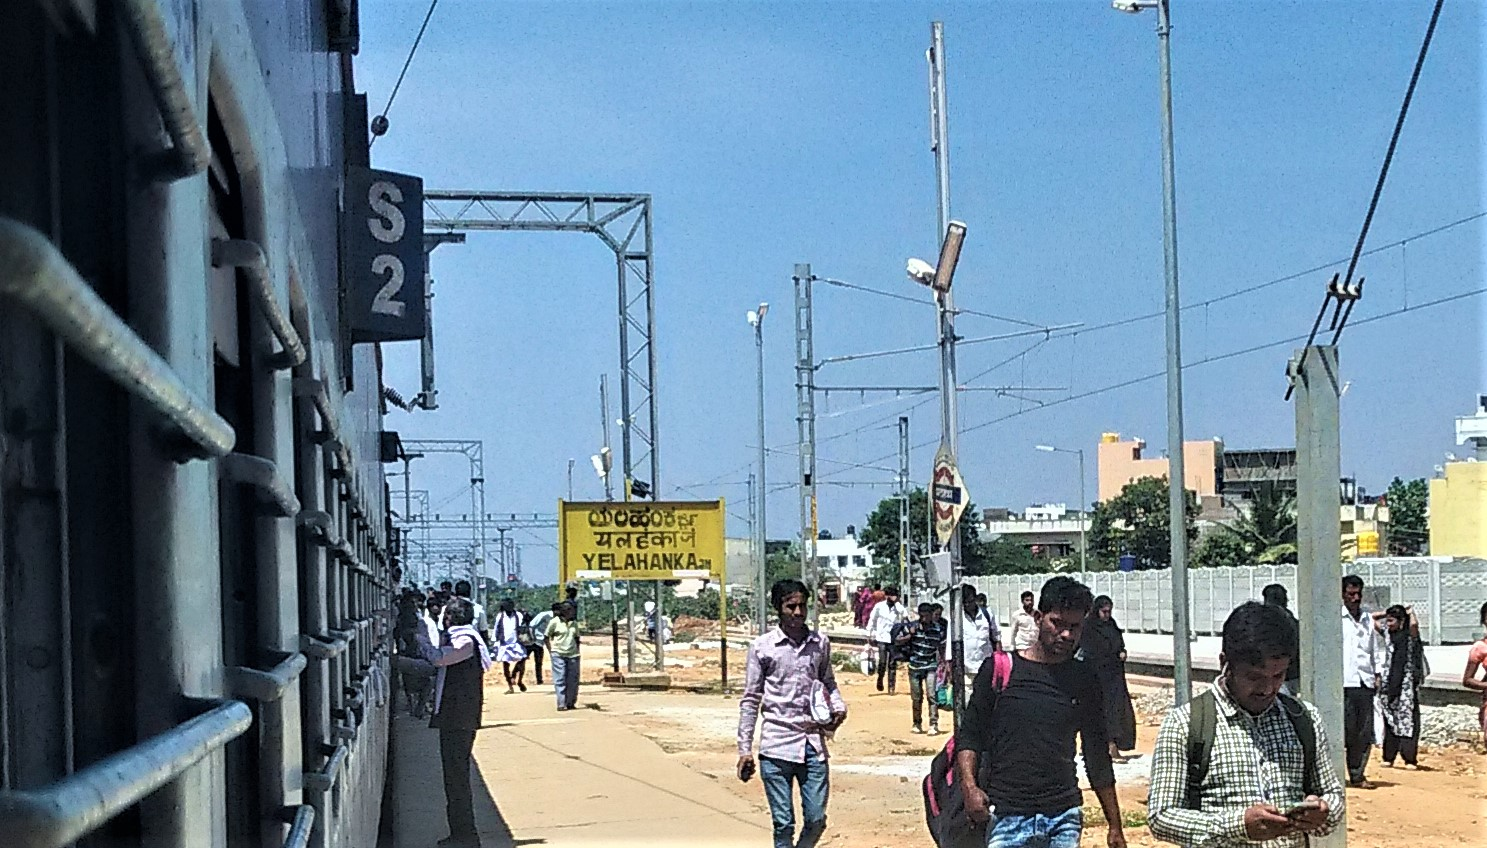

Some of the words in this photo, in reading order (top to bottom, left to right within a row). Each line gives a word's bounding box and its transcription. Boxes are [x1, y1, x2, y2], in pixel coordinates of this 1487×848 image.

[583, 498, 701, 533] ಯಲಹಂಕರ್
[590, 524, 703, 553] यलहंका जं
[580, 548, 717, 573] YELAHANKAJN